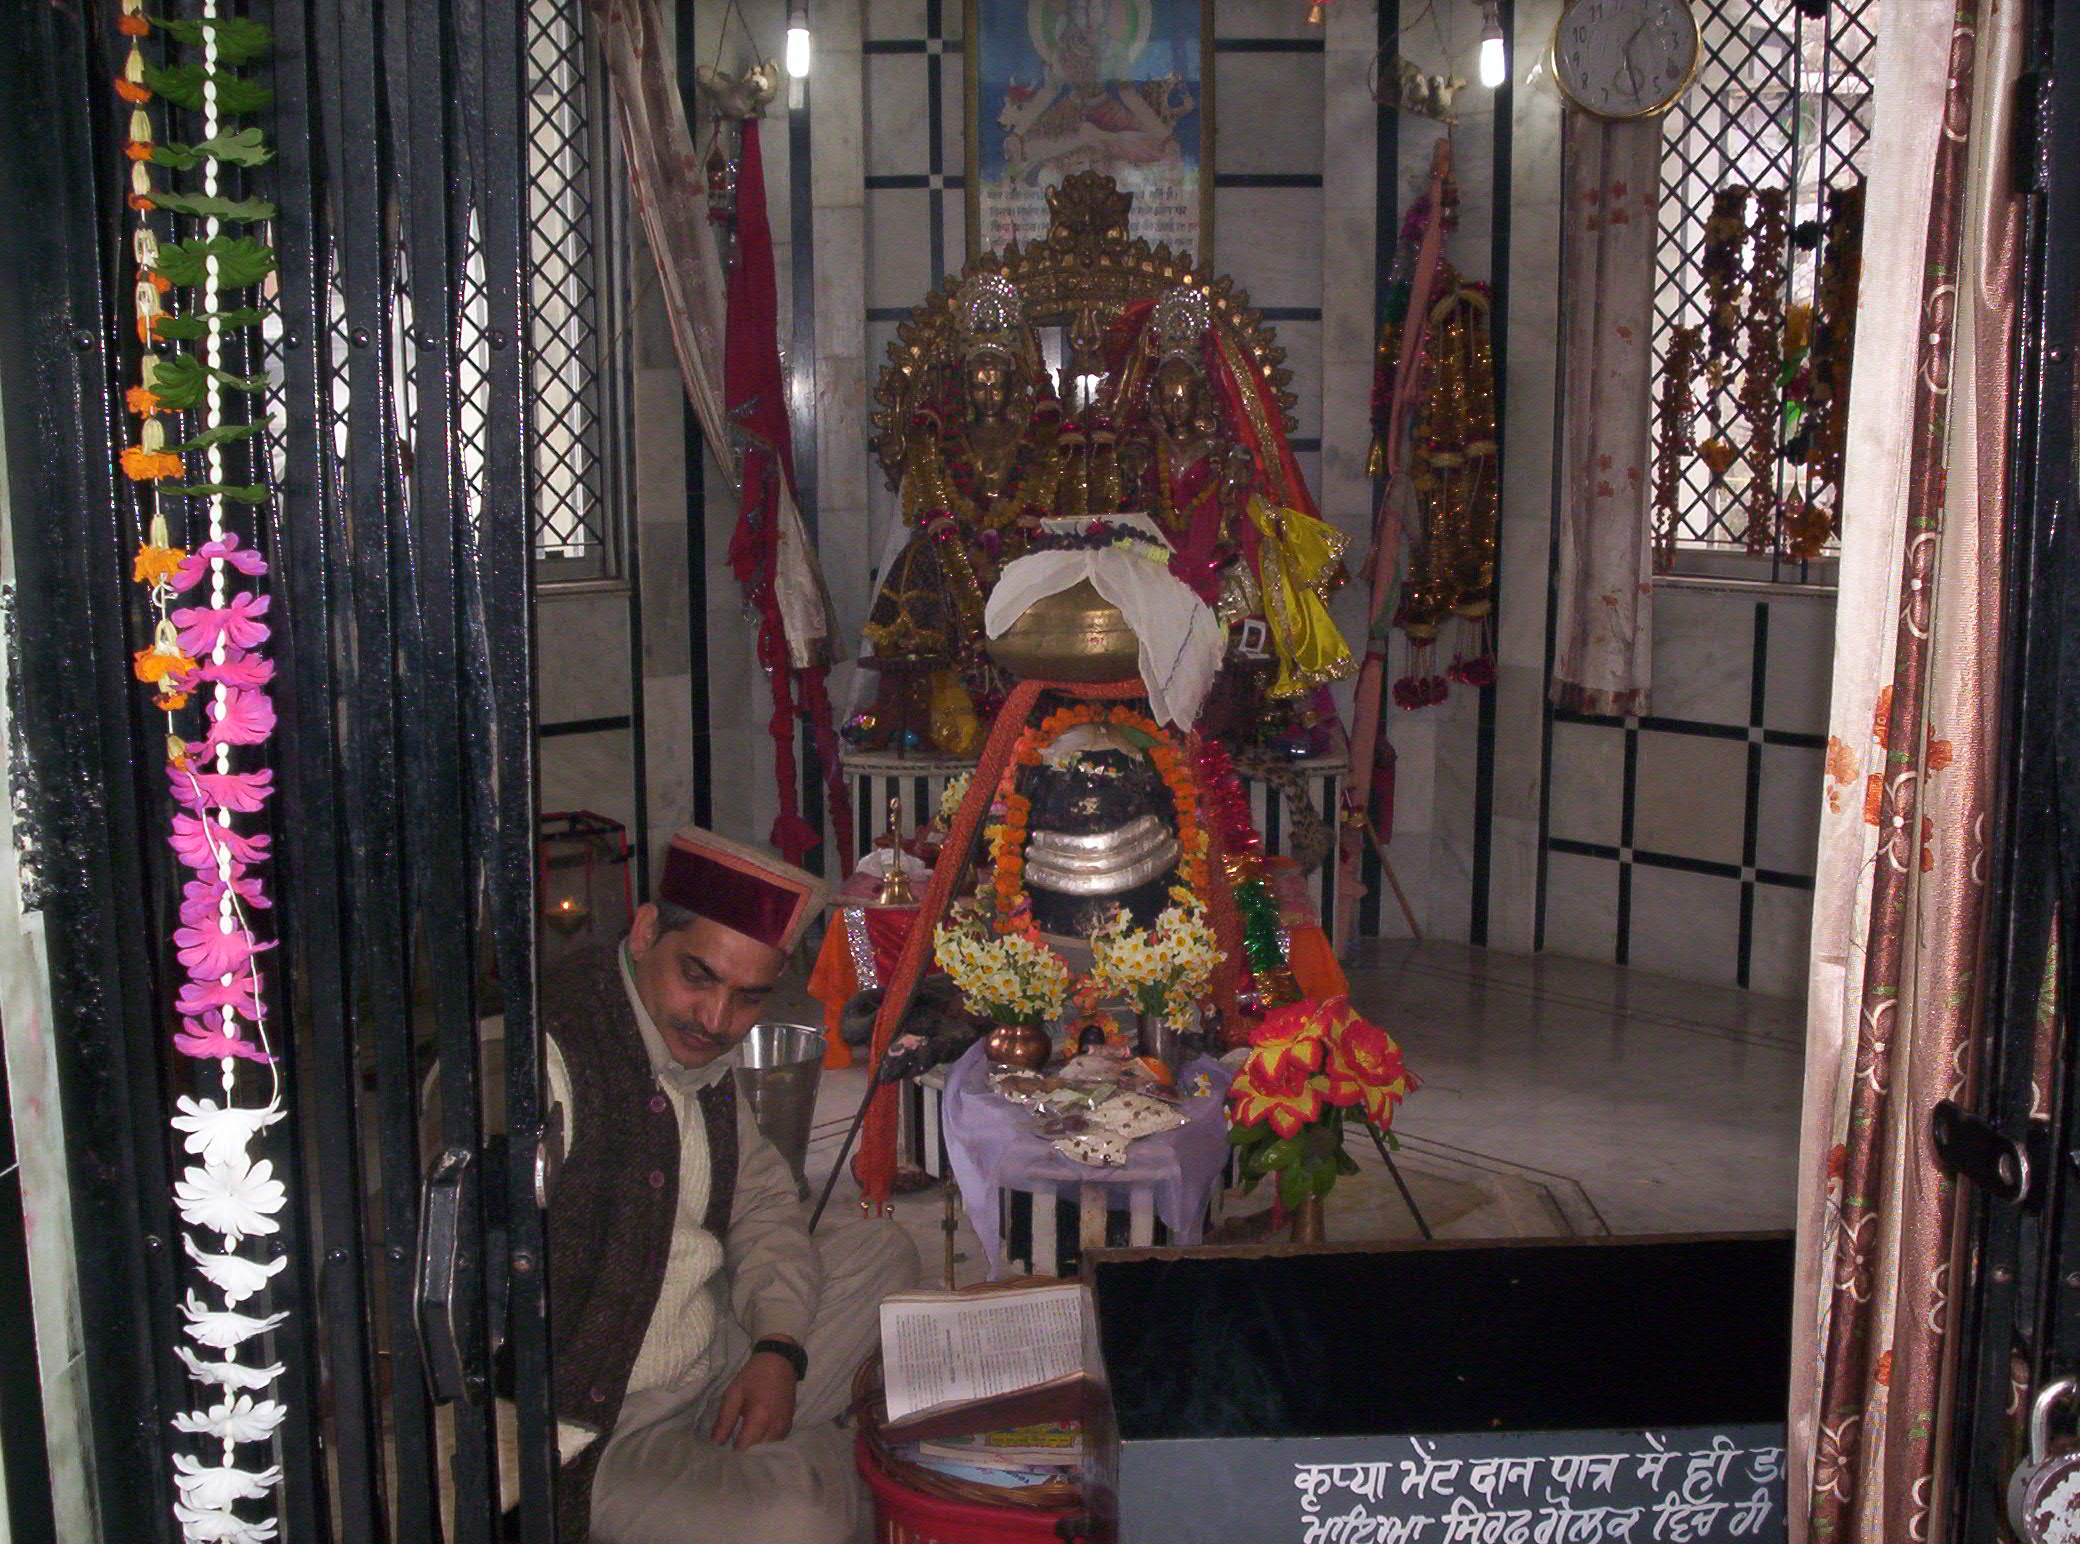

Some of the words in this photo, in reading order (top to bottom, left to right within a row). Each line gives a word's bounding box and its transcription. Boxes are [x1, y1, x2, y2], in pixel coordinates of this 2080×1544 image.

[1293, 1458, 1395, 1516] कृप्या
[1396, 1430, 1465, 1503] भेंट
[1437, 1488, 1535, 1541] मिग्ढ
[1463, 1451, 1545, 1513] दान
[1526, 1482, 1646, 1541] गेंलर
[1547, 1451, 1631, 1498] पात्र
[1627, 1425, 1683, 1493] में
[1647, 1483, 1727, 1540] ਵਿਚ
[1677, 1428, 1745, 1505] ही
[1724, 1481, 1775, 1540] ਰੀ